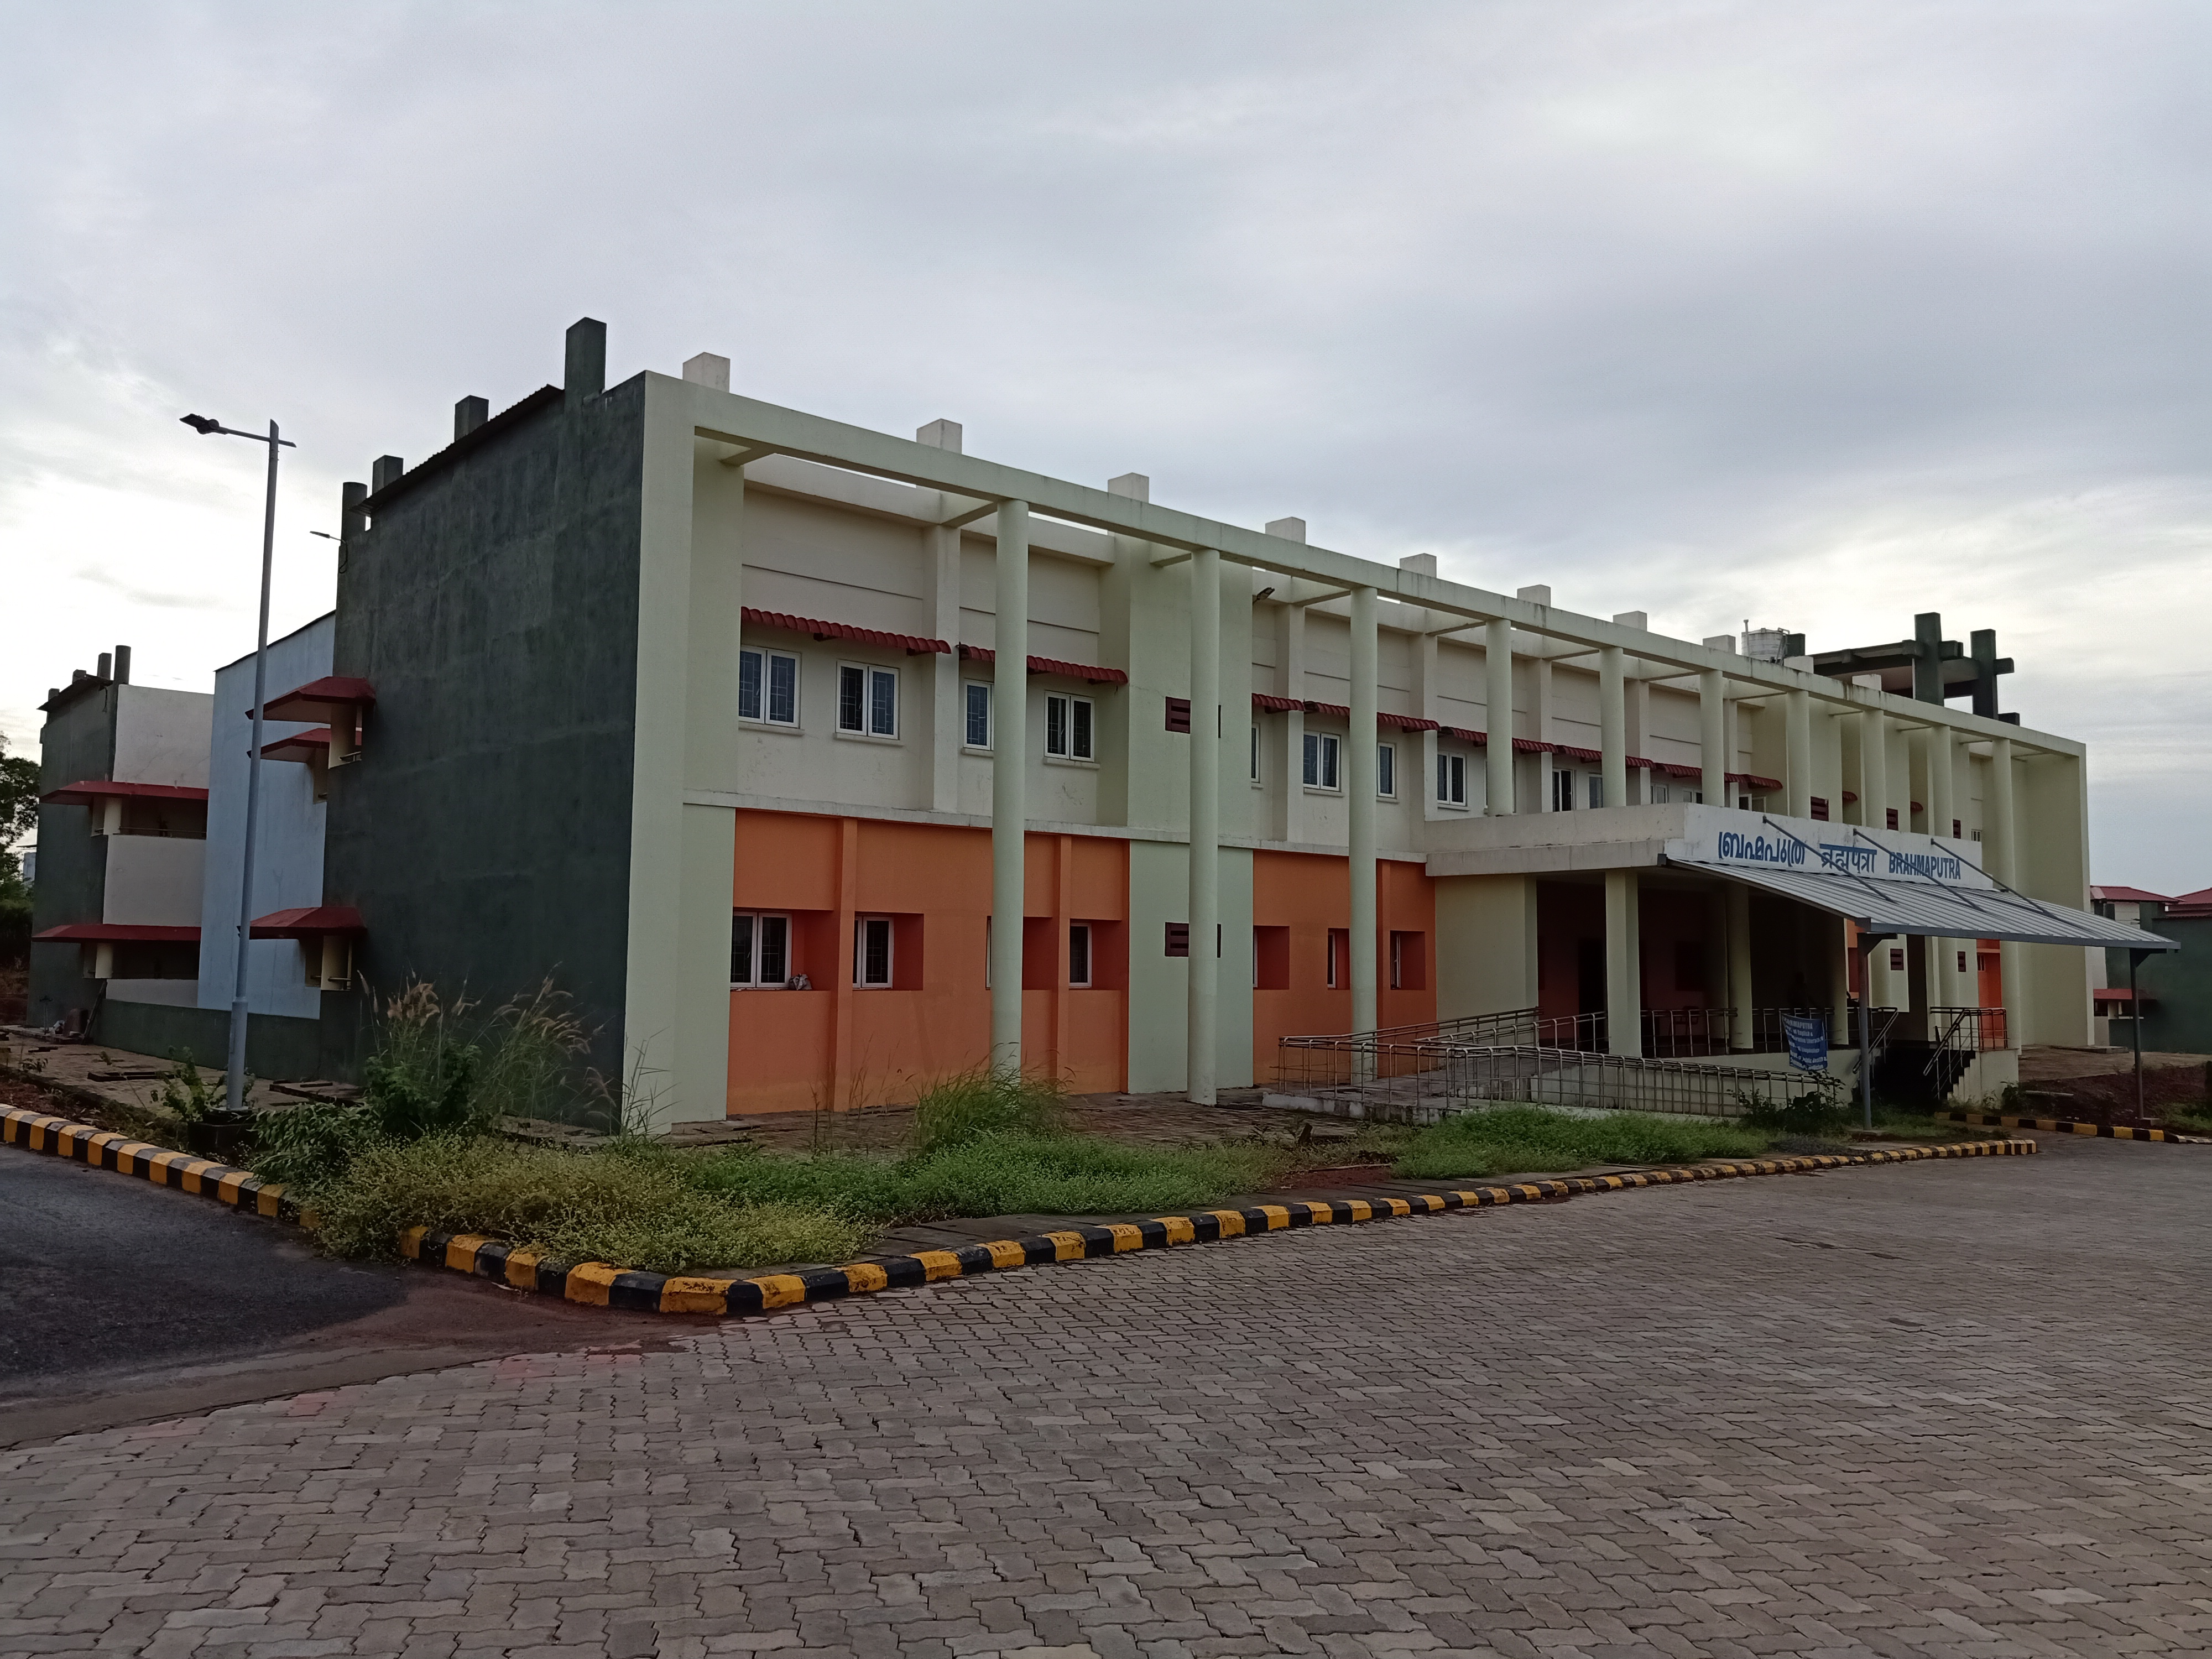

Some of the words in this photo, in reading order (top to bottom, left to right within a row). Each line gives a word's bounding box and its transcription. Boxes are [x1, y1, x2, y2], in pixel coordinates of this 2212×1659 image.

[1715, 827, 1809, 869] ബ്രഹ്മപുത്ര
[1817, 841, 1879, 875] ब्रह्मपुत्रा
[1886, 849, 1963, 883] BRAHMAPUTRA